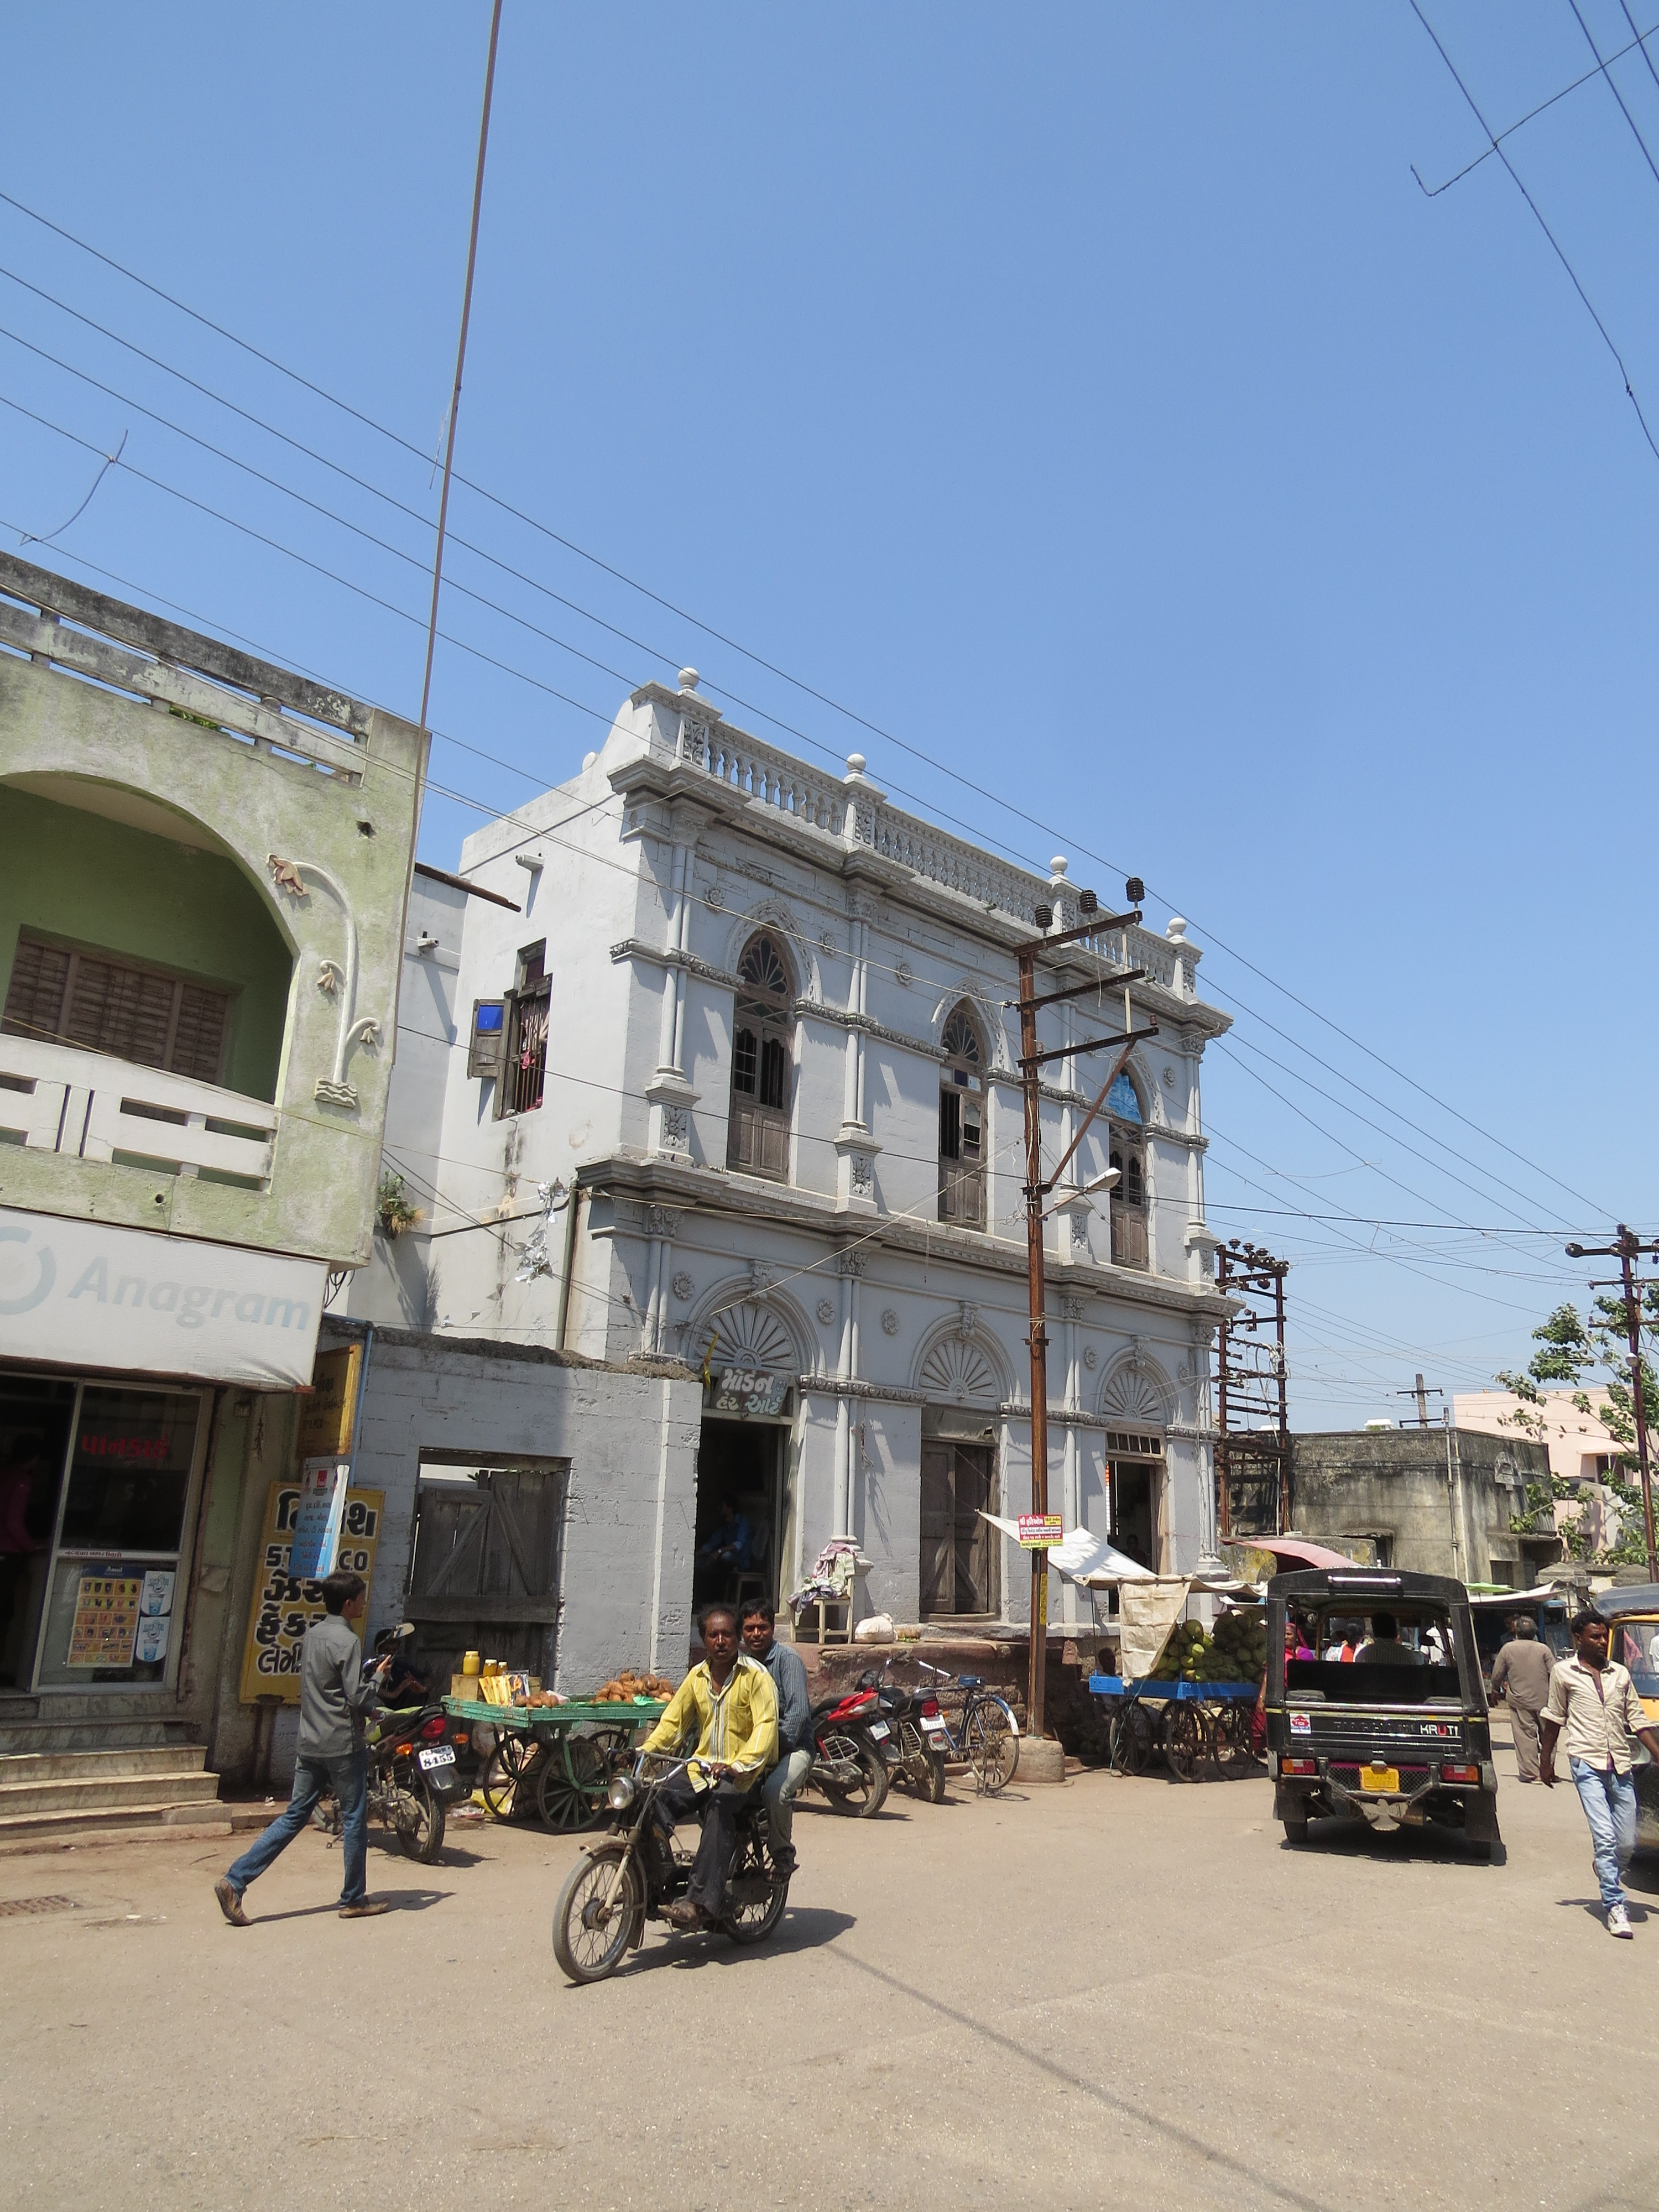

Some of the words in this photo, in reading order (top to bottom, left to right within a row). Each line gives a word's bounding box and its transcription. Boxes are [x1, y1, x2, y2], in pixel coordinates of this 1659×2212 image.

[60, 1248, 317, 1339] Anagram
[721, 1366, 776, 1396] મોર્ડન
[713, 1390, 740, 1412] હરે
[742, 1394, 785, 1416] આટે
[79, 1430, 173, 1468] પાનકાર્ડ
[346, 1498, 379, 1543] શ
[264, 1542, 286, 1569] S.
[337, 1543, 374, 1578] CO
[252, 1603, 309, 1647] ફૅક
[255, 1641, 304, 1677] લેમી
[1417, 1719, 1460, 1738] KRUTI